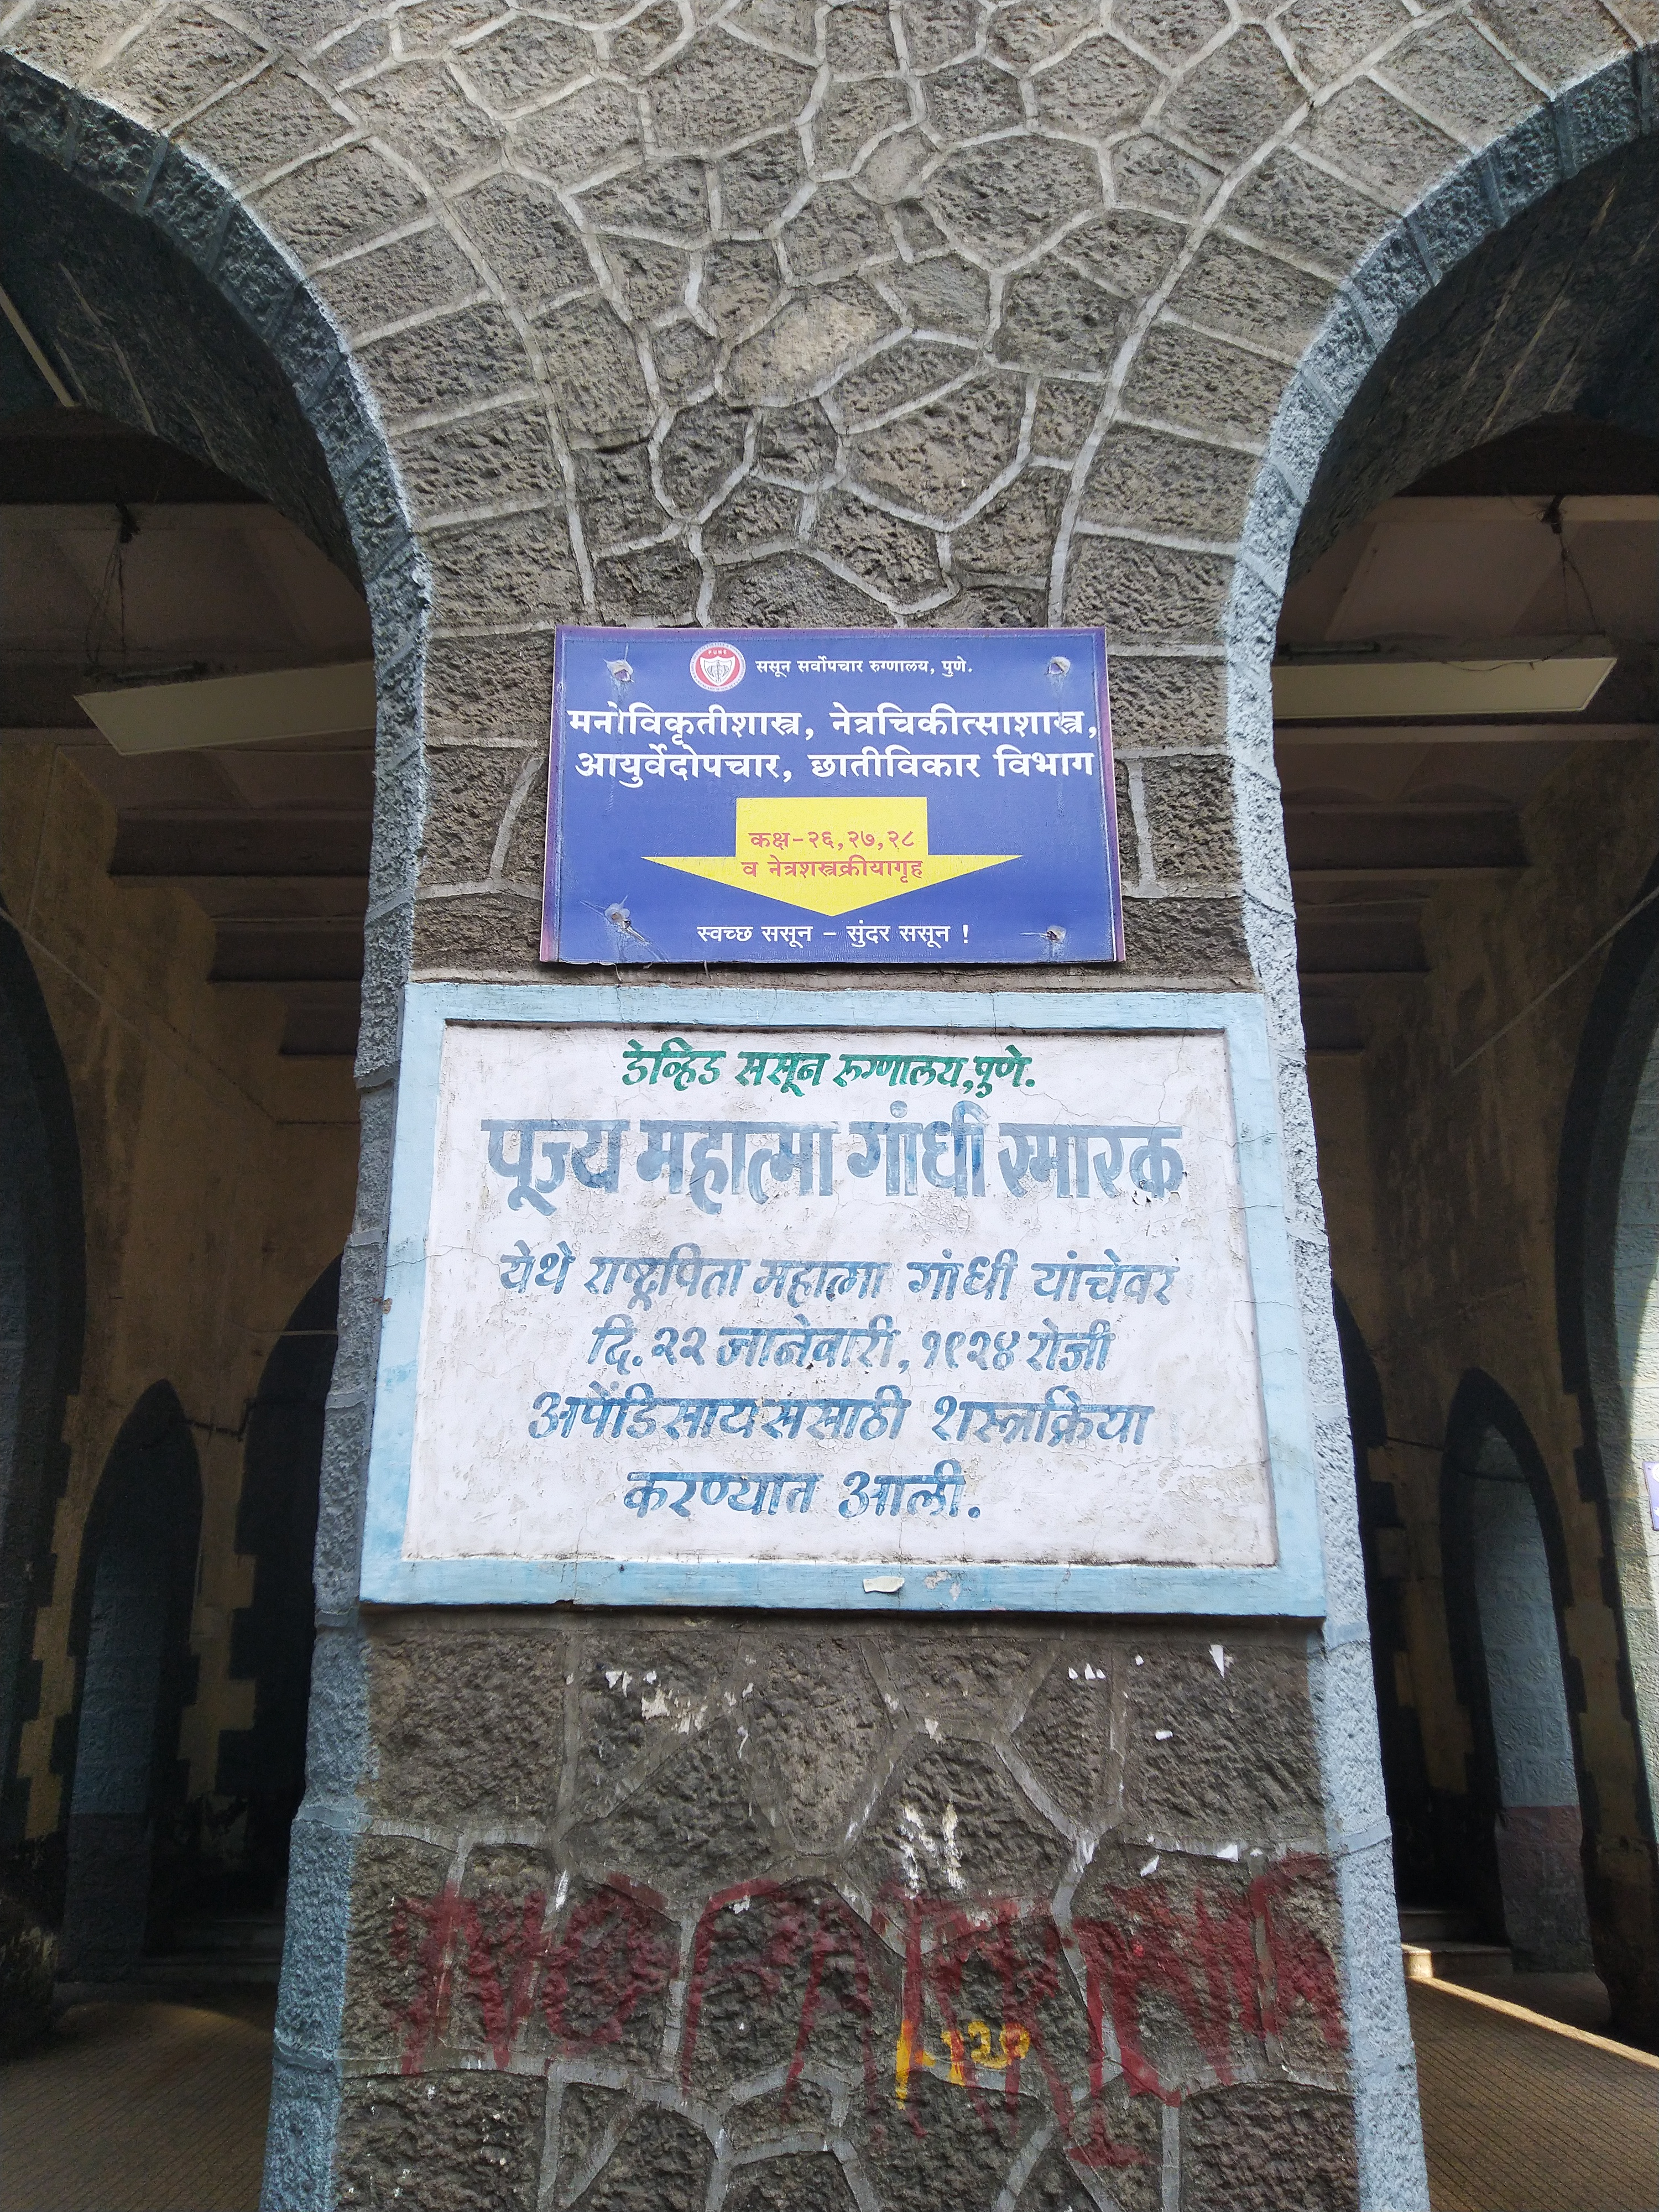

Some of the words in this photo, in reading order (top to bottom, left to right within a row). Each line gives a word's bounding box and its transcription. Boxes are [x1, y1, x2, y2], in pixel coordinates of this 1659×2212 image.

[753, 655, 794, 681] ससून
[794, 650, 866, 676] सर्वोपचार
[868, 655, 933, 675] रुग्णालय
[938, 650, 969, 681] पुणे
[565, 697, 806, 748] मनोविकृतीशास्त्र
[826, 697, 1087, 738] नेत्रचिकीत्साशास्त्र
[573, 739, 782, 792] आयुर्वेदोपचर
[807, 740, 984, 780] छातीविकार
[990, 738, 1097, 780] विभाग
[740, 859, 761, 882] व
[749, 828, 792, 855] कक्ष
[765, 851, 926, 885] नेत्रशस्रक्रीयागृह
[805, 828, 917, 854] २६, २७, २८
[696, 921, 756, 945] स्वच्छ
[757, 923, 816, 951] ससून
[843, 916, 892, 952] सुंदर
[896, 922, 954, 952] ससून
[616, 1031, 732, 1096] डेव्हिड
[733, 1046, 833, 1101] ससून
[830, 1048, 971, 1095] रुग्णालय
[973, 1039, 1040, 1102] पुणे.
[477, 1117, 633, 1224] पूज्य
[633, 1115, 845, 1220] महात्मा
[843, 1095, 992, 1202] गांधी
[997, 1120, 1188, 1203] स्मारक
[496, 1233, 579, 1303] येथे
[582, 1238, 752, 1318] राष्ट्रपिता
[751, 1255, 893, 1313] महात्मा
[904, 1243, 1022, 1305] गांधी
[1030, 1246, 1183, 1311] यांचेवर
[583, 1306, 646, 1377] दि.
[647, 1323, 716, 1371] २२
[713, 1307, 904, 1371] जानेवारी
[918, 1321, 1024, 1375] १९२४
[1020, 1308, 1120, 1377] रोजी
[525, 1375, 917, 1445] अपेंडिसायससाठी
[930, 1378, 1161, 1448] शस्त्रक्रिया
[620, 1468, 826, 1521] करण्यात
[836, 1454, 983, 1522] आली.